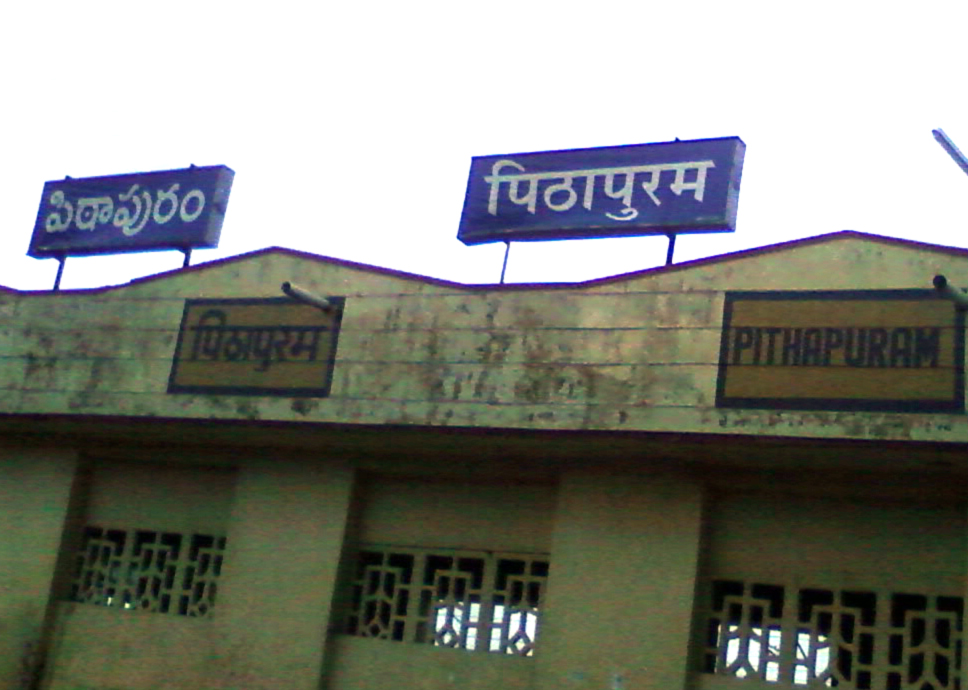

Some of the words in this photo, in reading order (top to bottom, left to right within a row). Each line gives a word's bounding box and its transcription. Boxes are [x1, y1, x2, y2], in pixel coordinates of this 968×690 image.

[37, 179, 211, 242] పిఠాపురం
[476, 153, 715, 226] पिठापुरम
[179, 298, 334, 377] पिठापुरम
[728, 322, 945, 374] PITHAPURAM